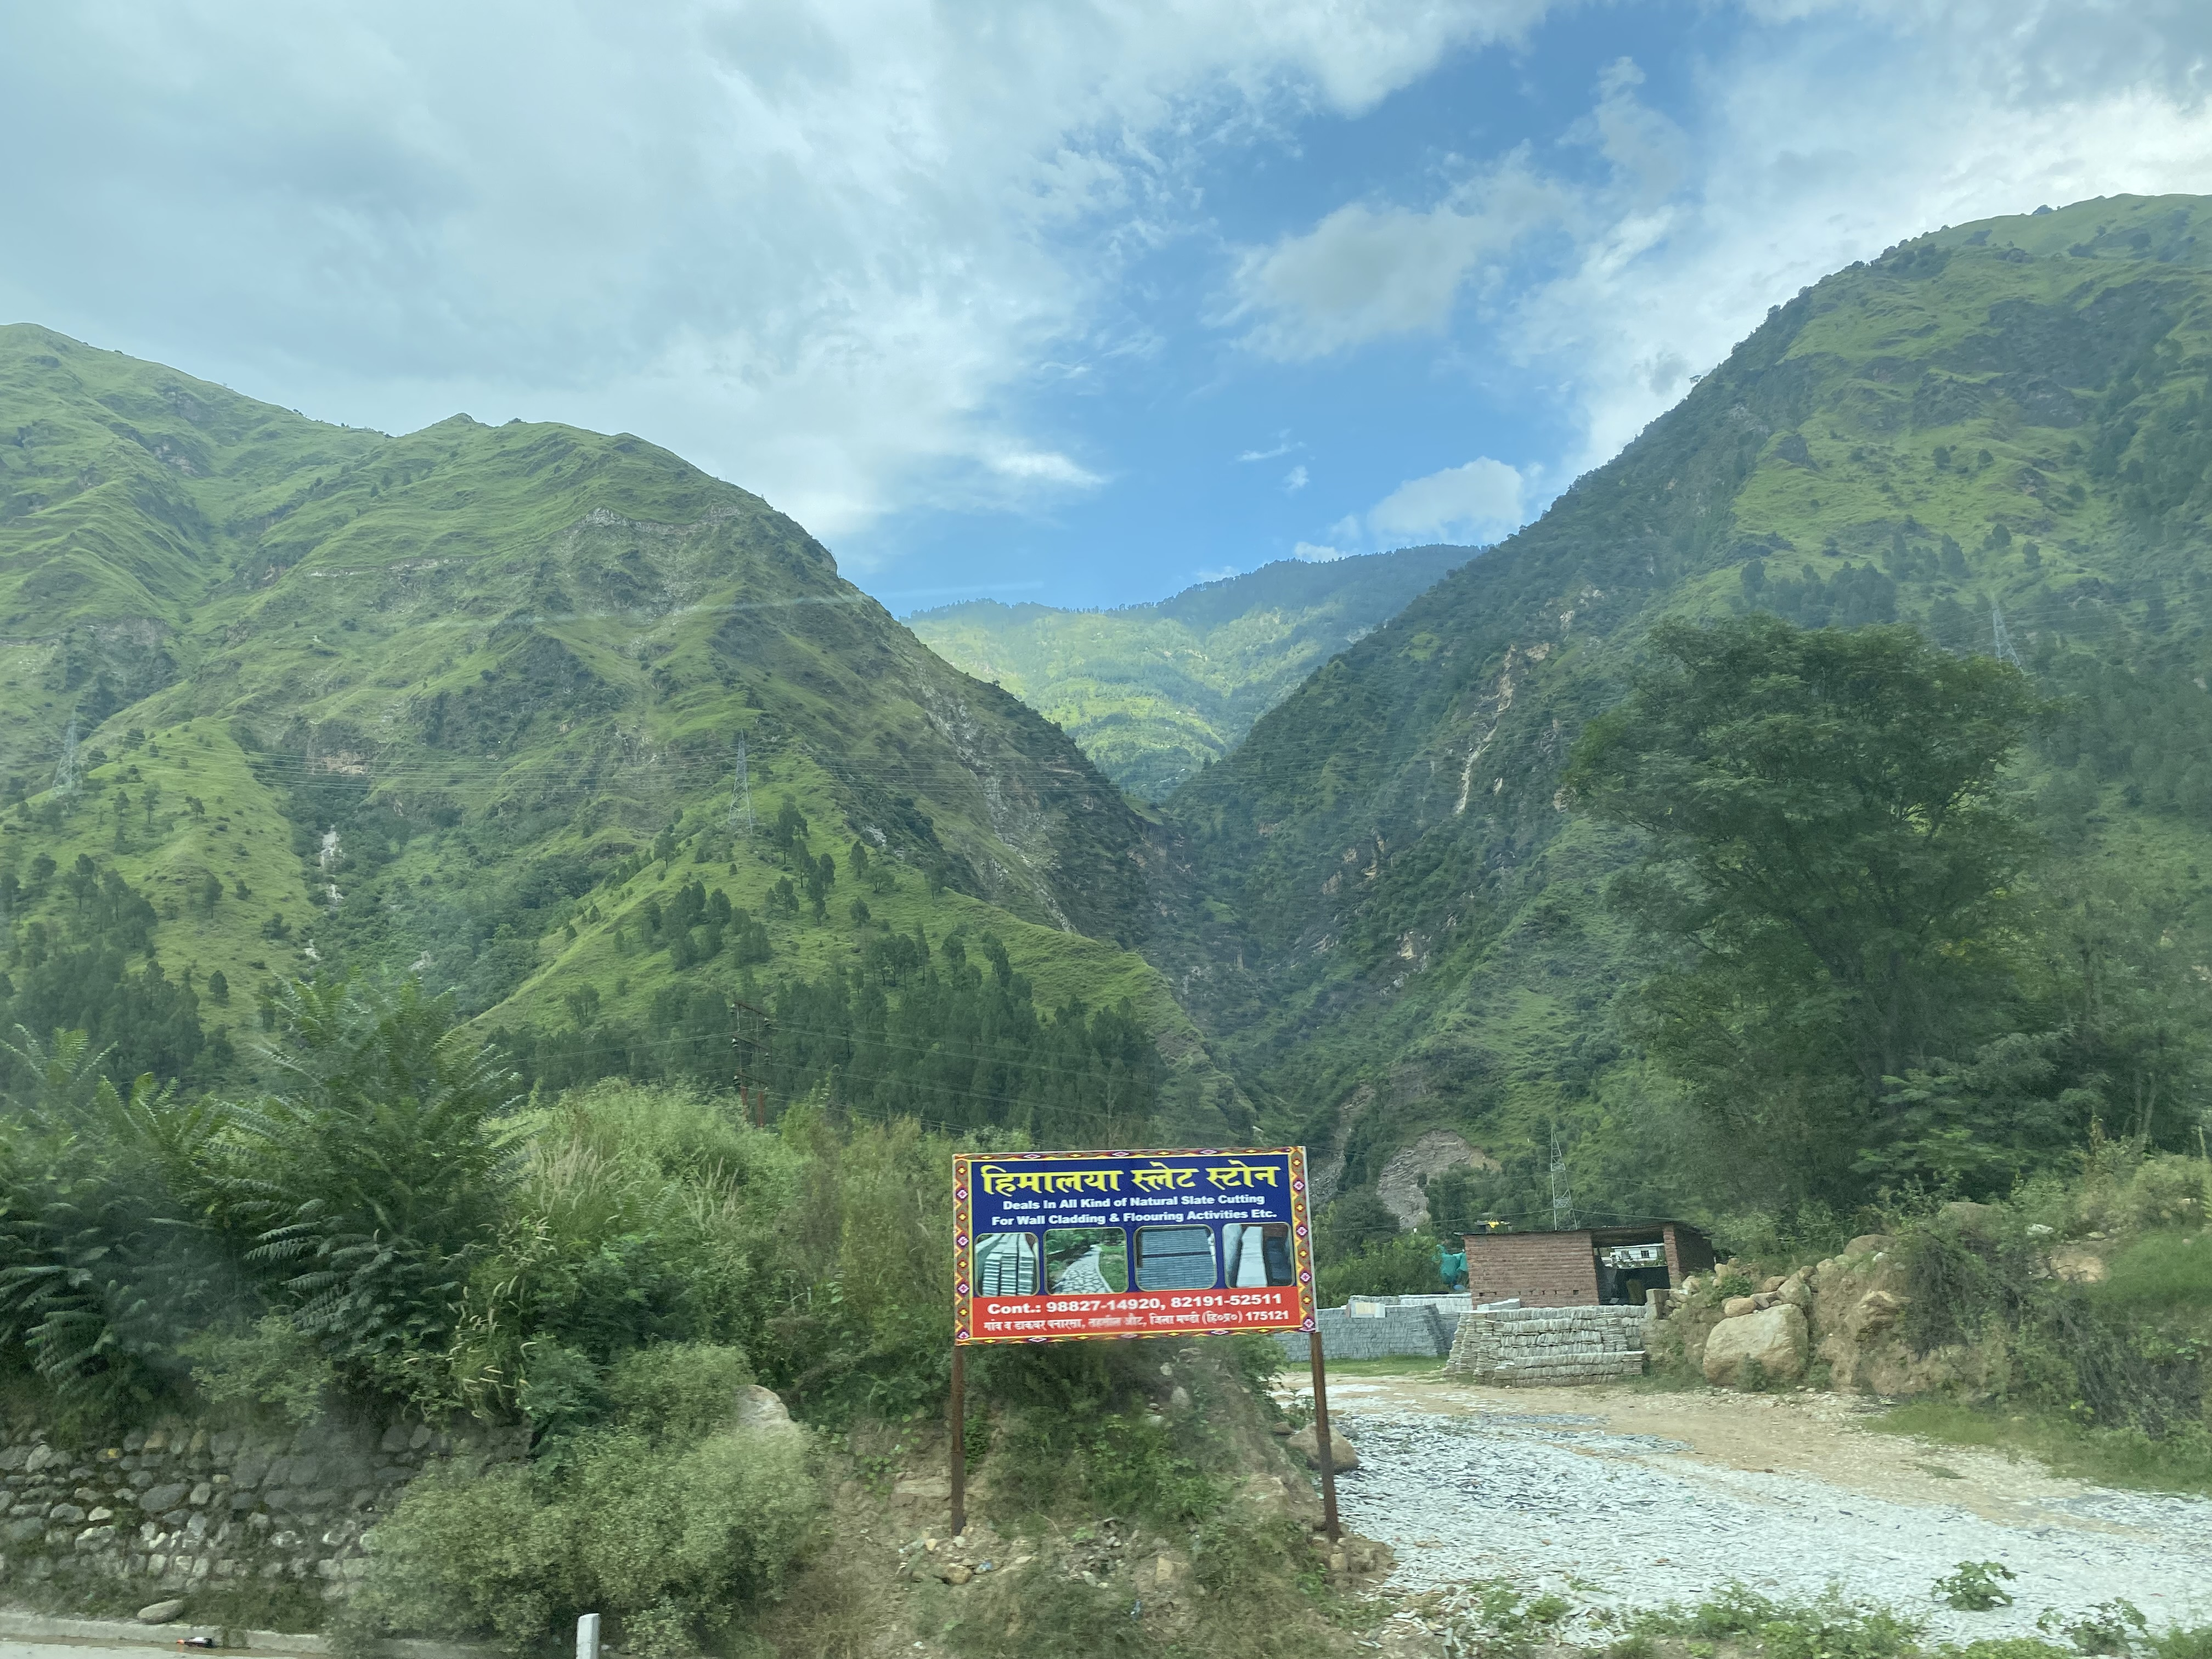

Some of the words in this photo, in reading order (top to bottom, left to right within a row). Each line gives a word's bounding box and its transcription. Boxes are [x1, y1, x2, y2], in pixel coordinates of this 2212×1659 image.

[979, 1161, 1124, 1199] हिमालया
[1128, 1159, 1201, 1194] स्लेट
[1204, 1154, 1283, 1191] स्टोन
[1002, 1197, 1041, 1211] Deals
[1040, 1198, 1059, 1211] In
[1058, 1196, 1079, 1211] All
[1079, 1194, 1113, 1211] Kind
[1109, 1195, 1128, 1209] of
[1128, 1194, 1180, 1208] Natural
[1176, 1193, 1218, 1209] Slate
[1215, 1192, 1267, 1207] Cutting
[989, 1214, 1016, 1229] For
[1015, 1212, 1048, 1229] Wall
[1045, 1211, 1109, 1225] Cladding
[1121, 1210, 1187, 1228] Floouring
[1184, 1207, 1249, 1224] Activities
[1249, 1206, 1279, 1223] Etc.
[979, 1313, 1003, 1334] गांव
[1002, 1319, 1013, 1331] व
[984, 1300, 1043, 1317] Cont.:
[1012, 1317, 1047, 1332] डाकघर
[1043, 1317, 1085, 1332] पनारमा,
[1086, 1312, 1124, 1331] तहसील
[1046, 1296, 1166, 1314] 98827-14920,
[1120, 1311, 1147, 1327] और
[1147, 1311, 1177, 1328] शिला
[1175, 1308, 1201, 1327] मण्डी
[1203, 1307, 1240, 1327] हि०प्र०
[1170, 1293, 1284, 1311] 82191-52511
[1245, 1308, 1291, 1326] 175121